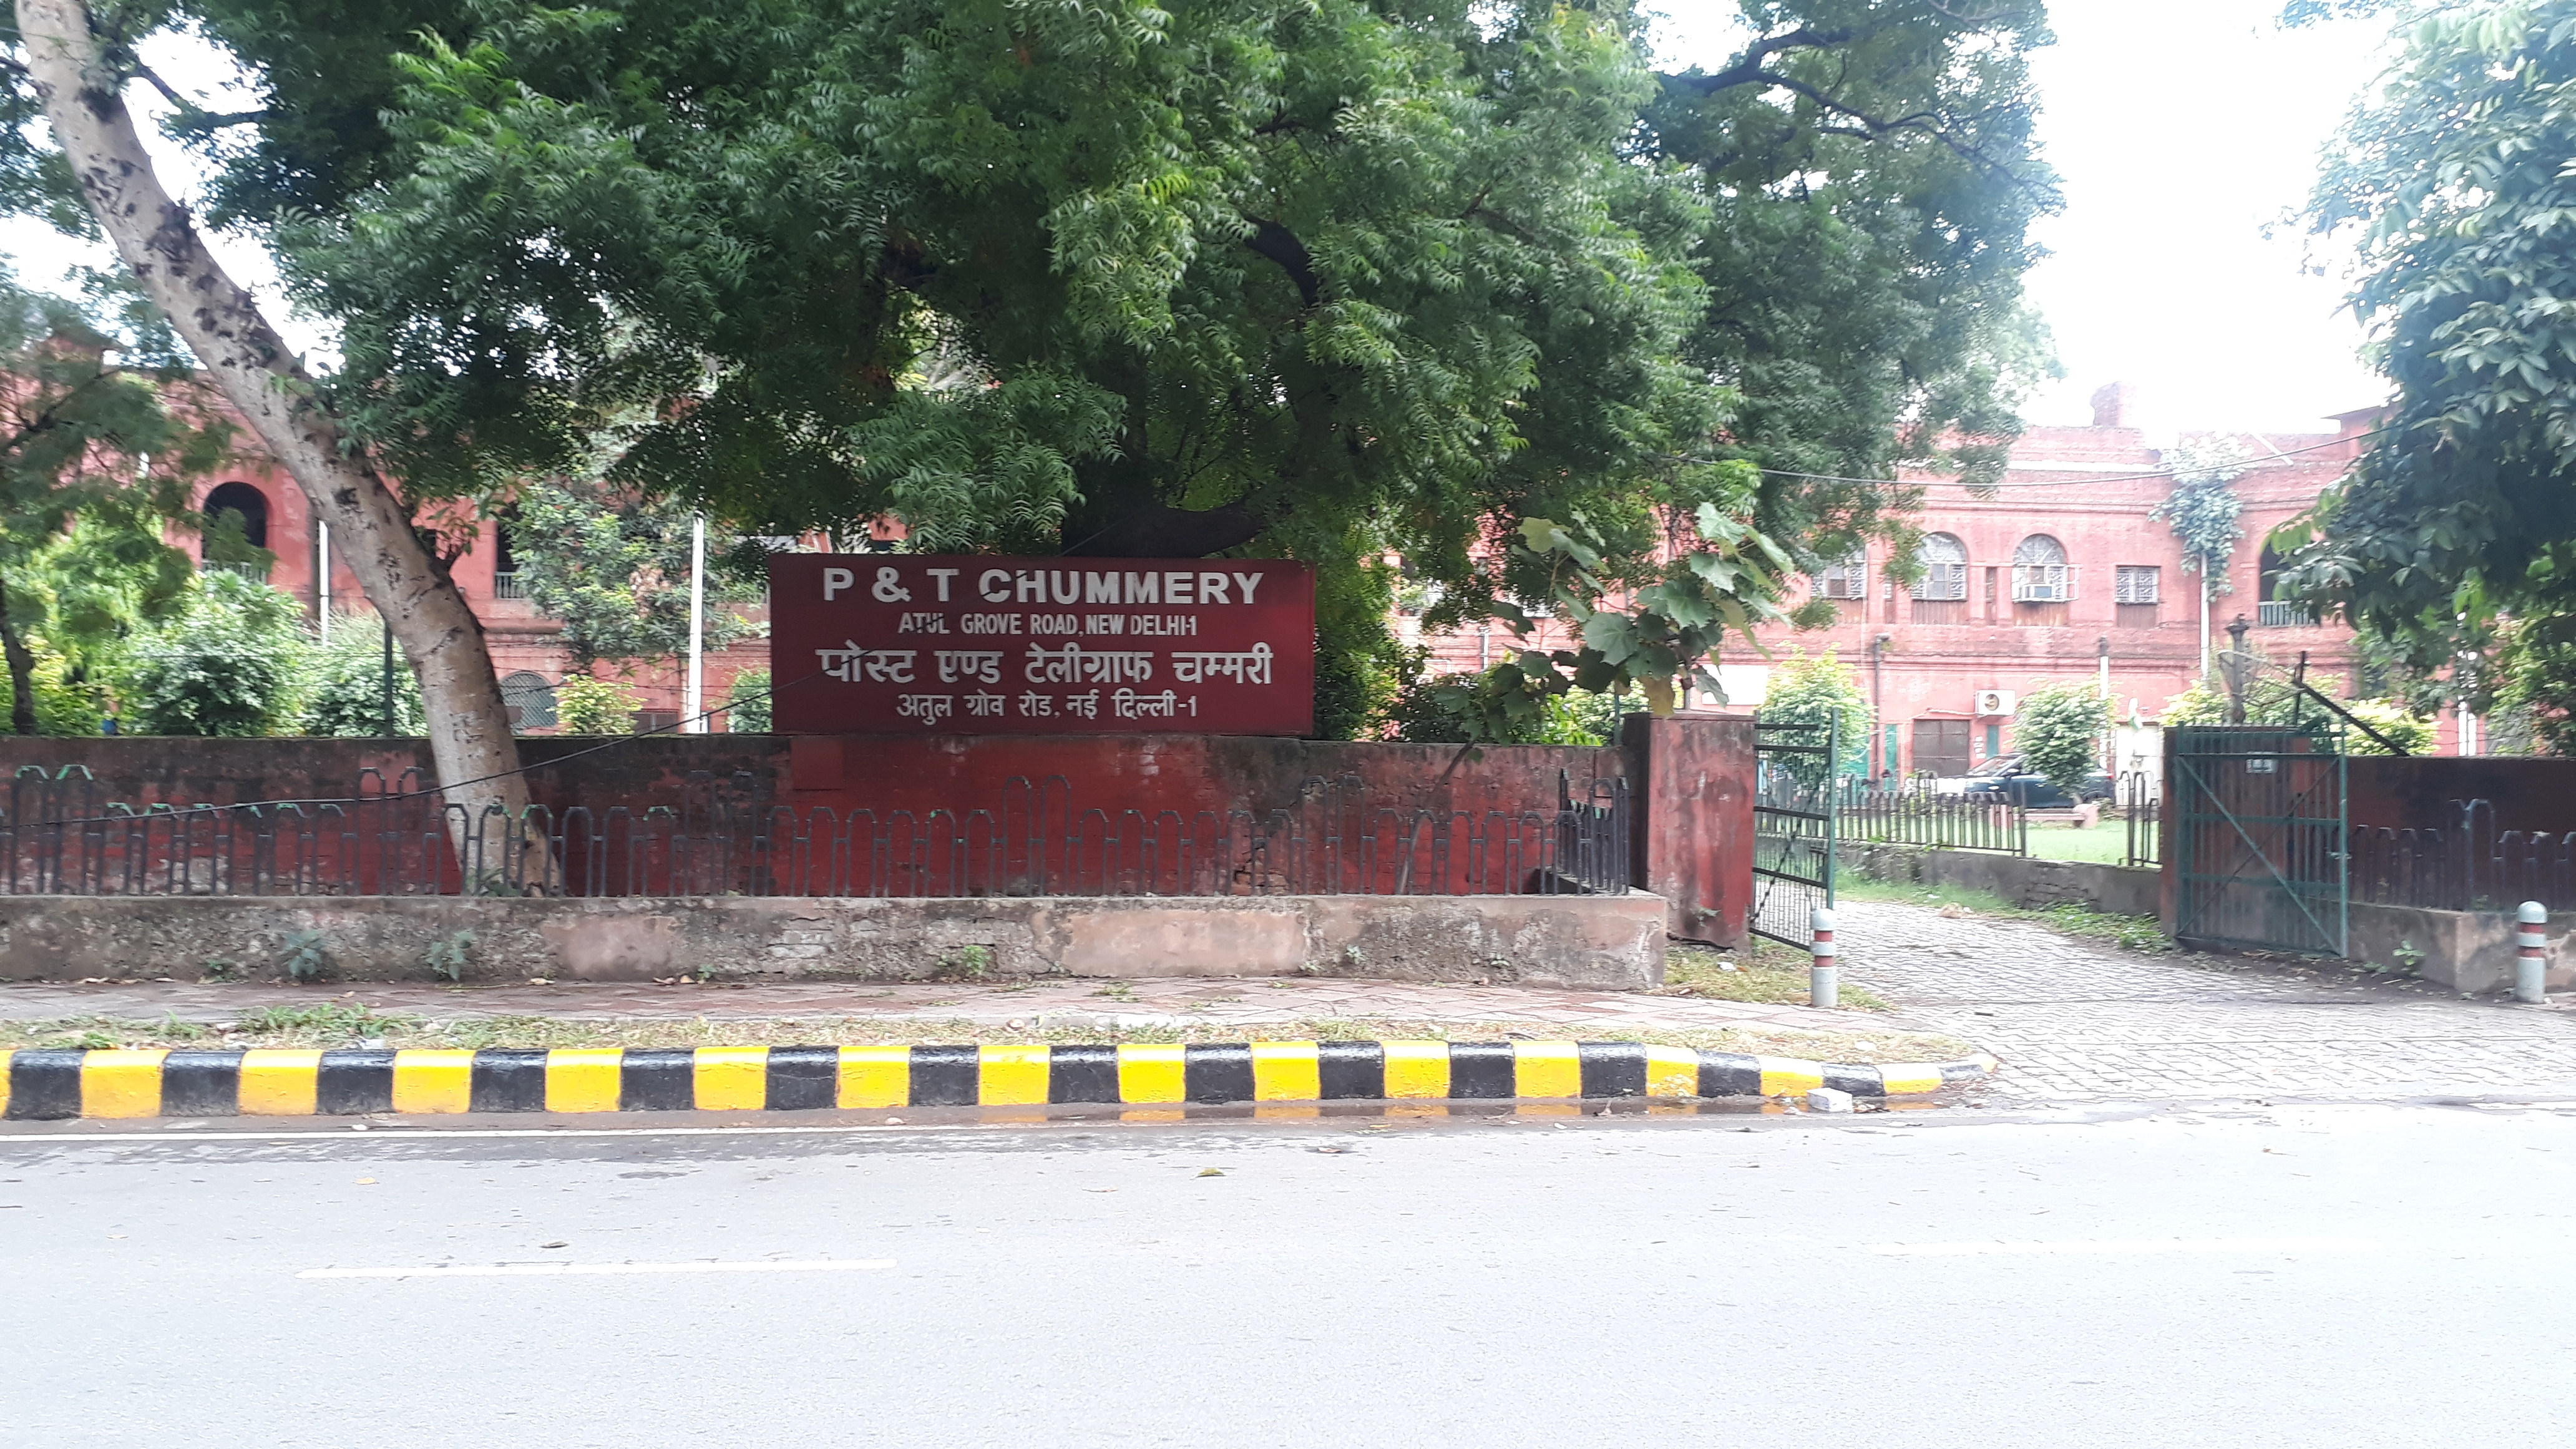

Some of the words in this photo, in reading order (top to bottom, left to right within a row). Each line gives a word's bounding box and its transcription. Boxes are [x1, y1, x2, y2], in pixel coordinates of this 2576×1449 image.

[819, 563, 914, 605] P&
[918, 565, 962, 606] T
[974, 567, 1265, 608] CHUMMERY
[896, 610, 953, 638] ATUL
[957, 611, 1025, 640] GROVE
[1027, 611, 1082, 639] ROAD,
[1081, 611, 1128, 638] NEW
[1123, 612, 1199, 640] DELHI-1
[813, 636, 920, 688] पोस्ट
[934, 648, 1008, 687] एण्ड
[1022, 637, 1157, 689] टेलीग्राफ
[1169, 637, 1275, 688] चम्मरी
[893, 688, 957, 732] अतुल
[960, 683, 1009, 721] ग्रोव
[1014, 686, 1056, 721] रोड
[1065, 683, 1103, 724] नई
[1105, 681, 1201, 723] दिल्ली-1